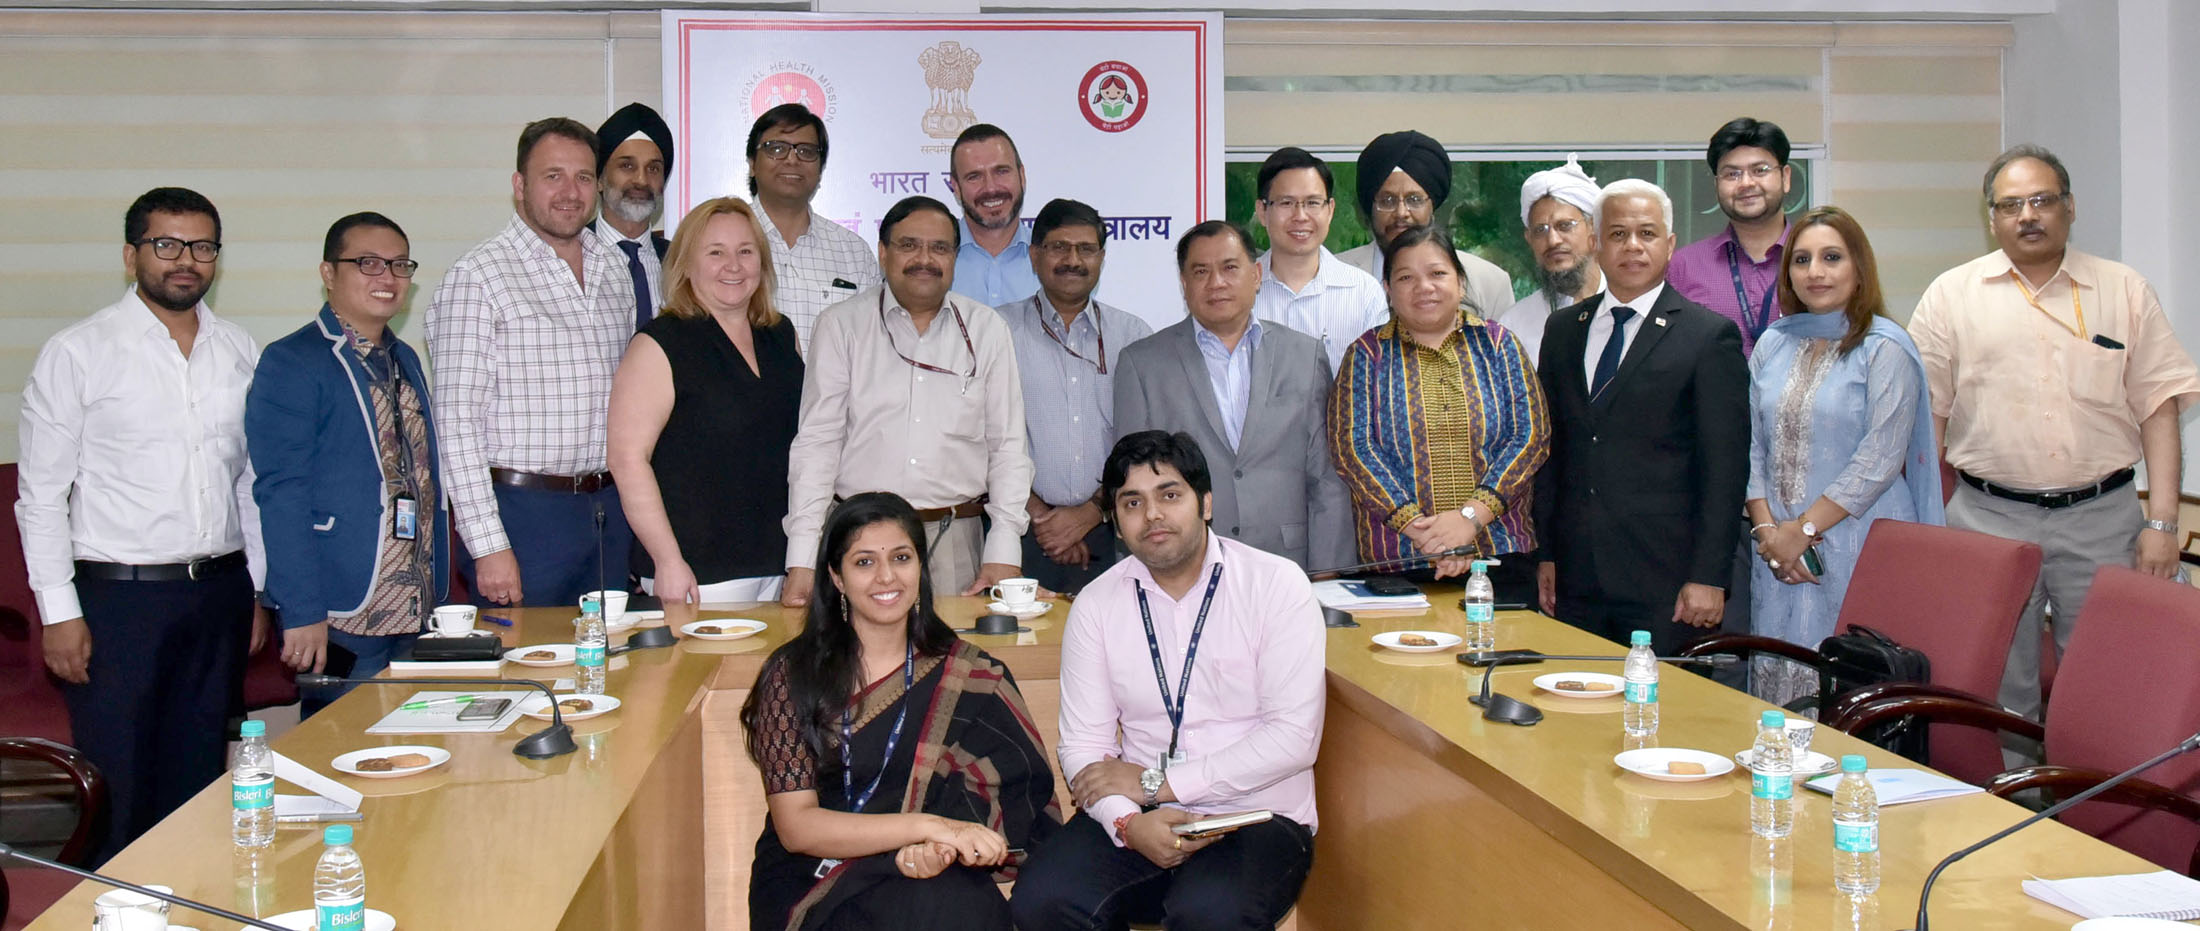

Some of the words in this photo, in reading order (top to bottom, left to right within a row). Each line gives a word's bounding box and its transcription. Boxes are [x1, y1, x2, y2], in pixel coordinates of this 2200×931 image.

[867, 169, 932, 198] भारत
[1098, 211, 1173, 244] त्रालय